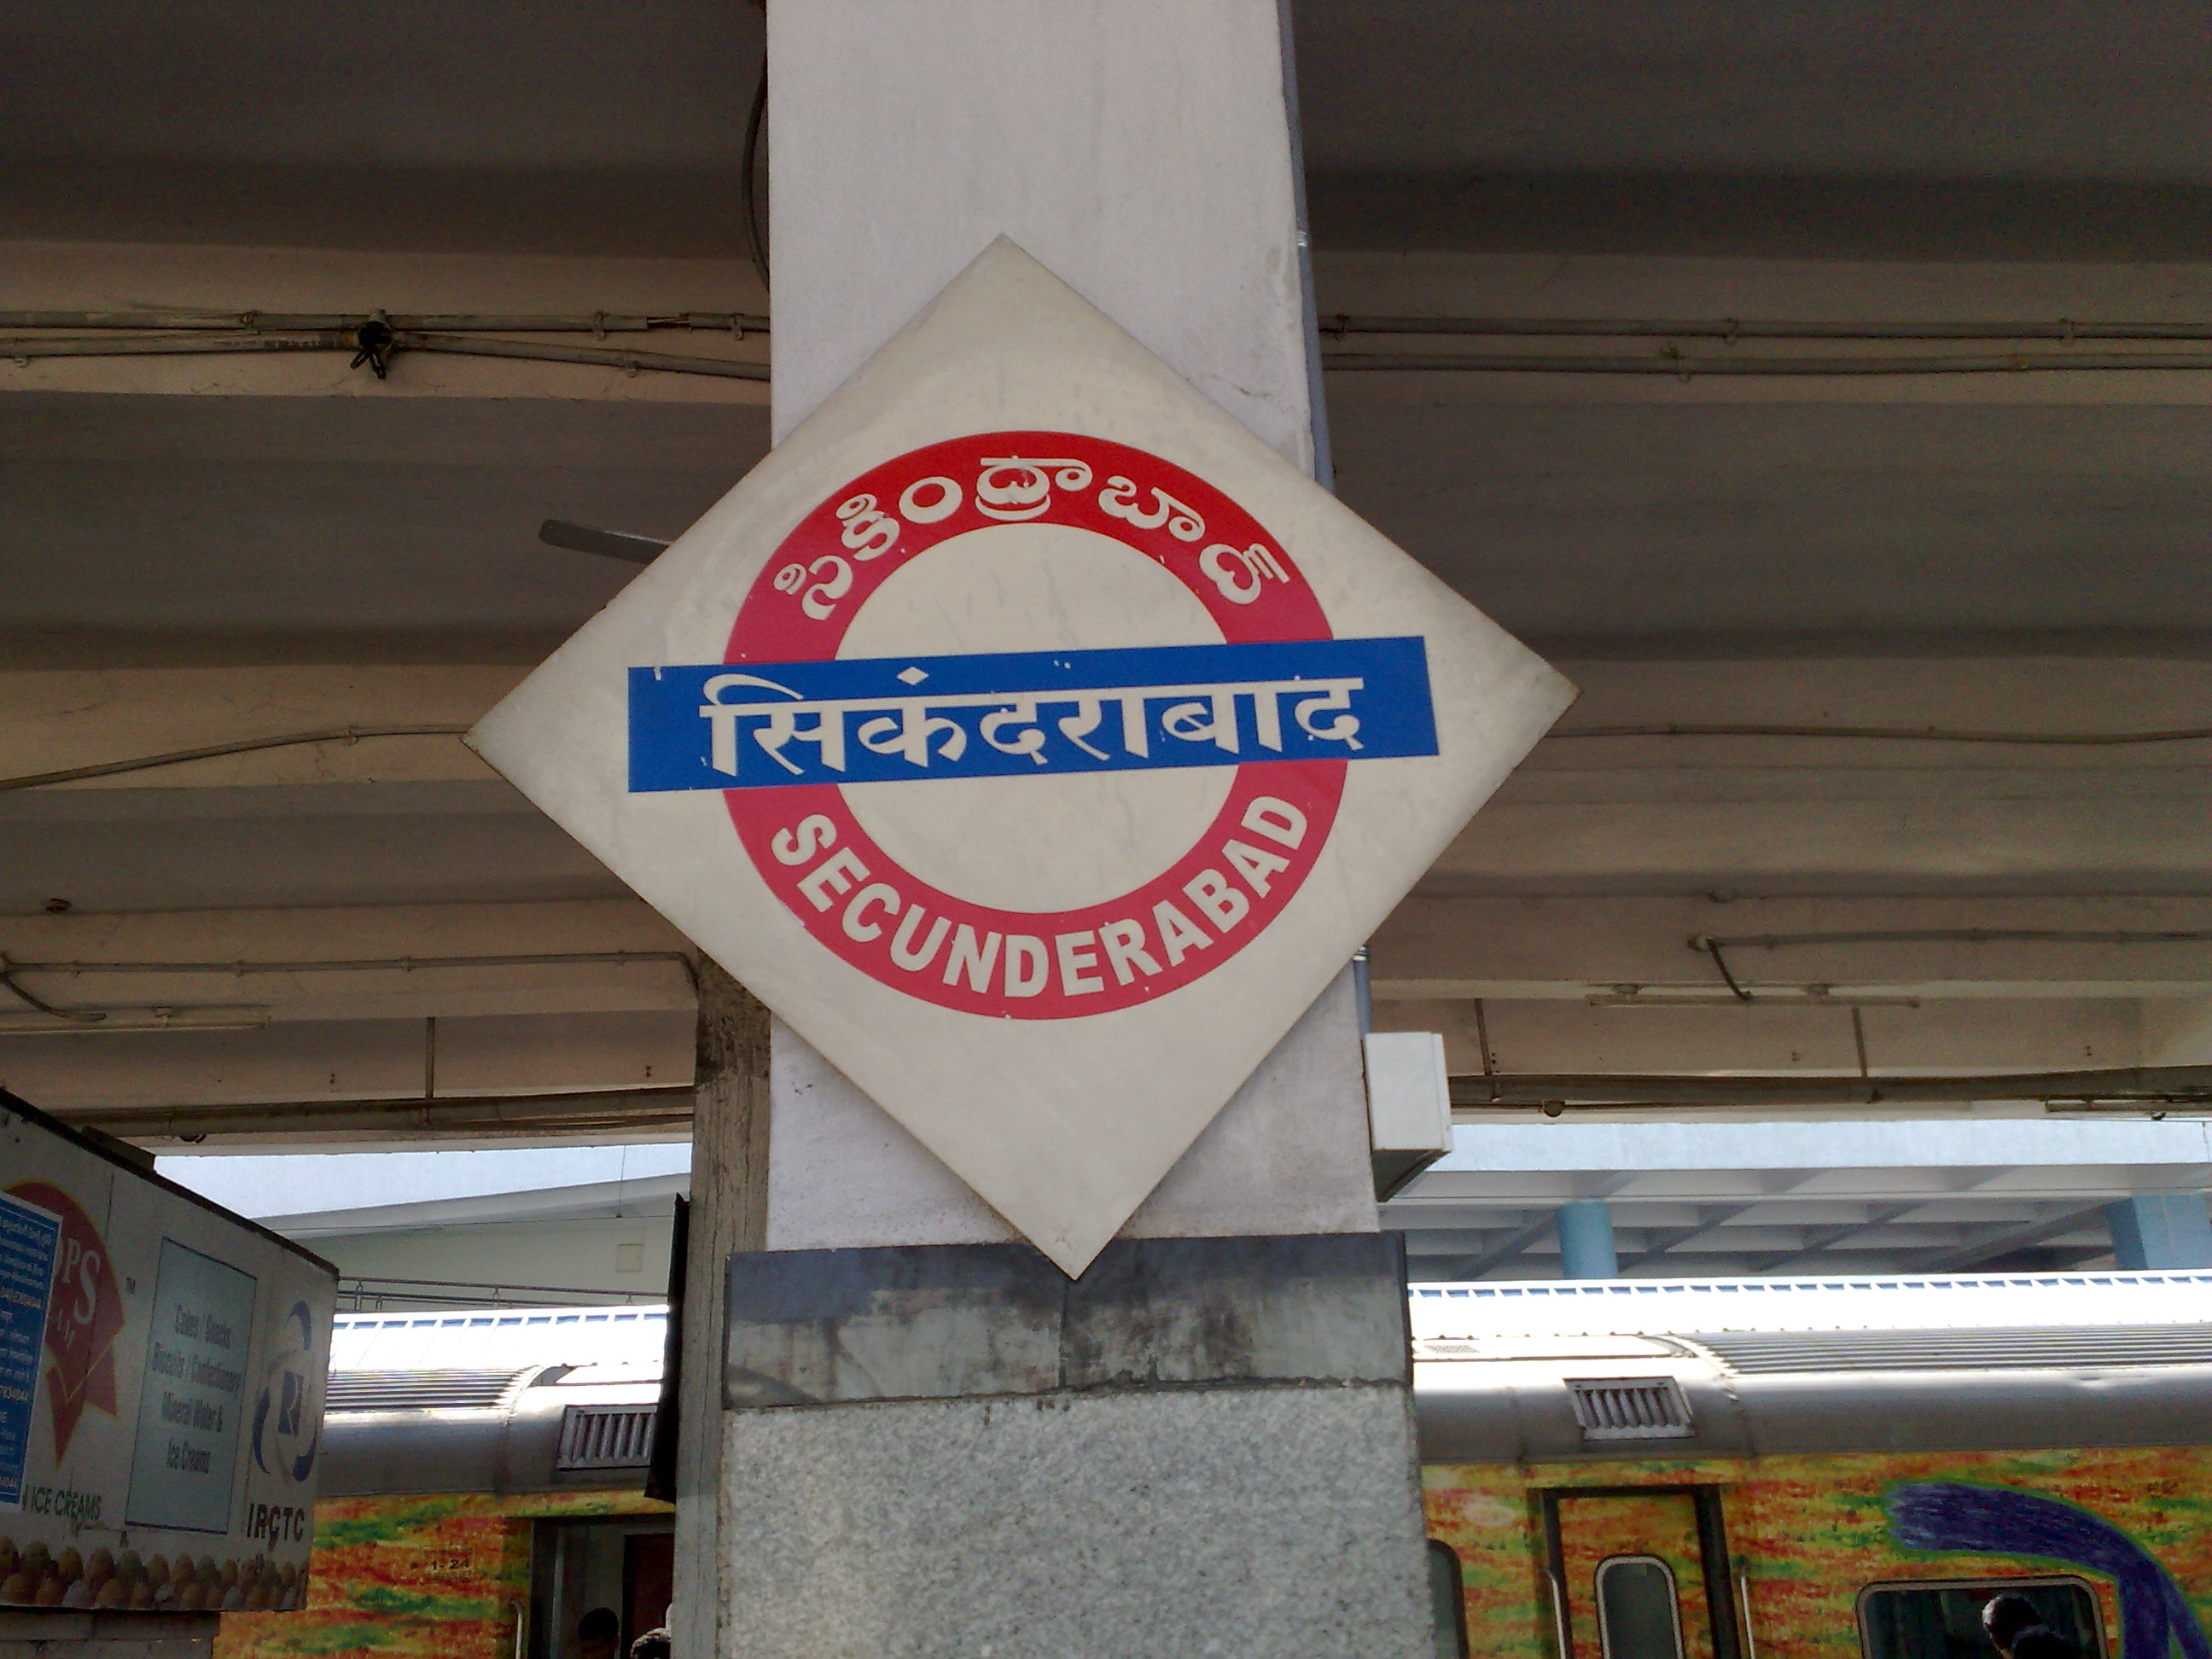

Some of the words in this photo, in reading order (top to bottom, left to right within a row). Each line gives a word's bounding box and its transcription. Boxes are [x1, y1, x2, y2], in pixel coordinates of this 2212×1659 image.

[763, 443, 1295, 640] సికింద్రాబాద్
[684, 655, 1371, 786] सिकंदराबाद
[757, 790, 1313, 1005] SECUNDERABAD
[50, 1485, 104, 1522] CREAMS